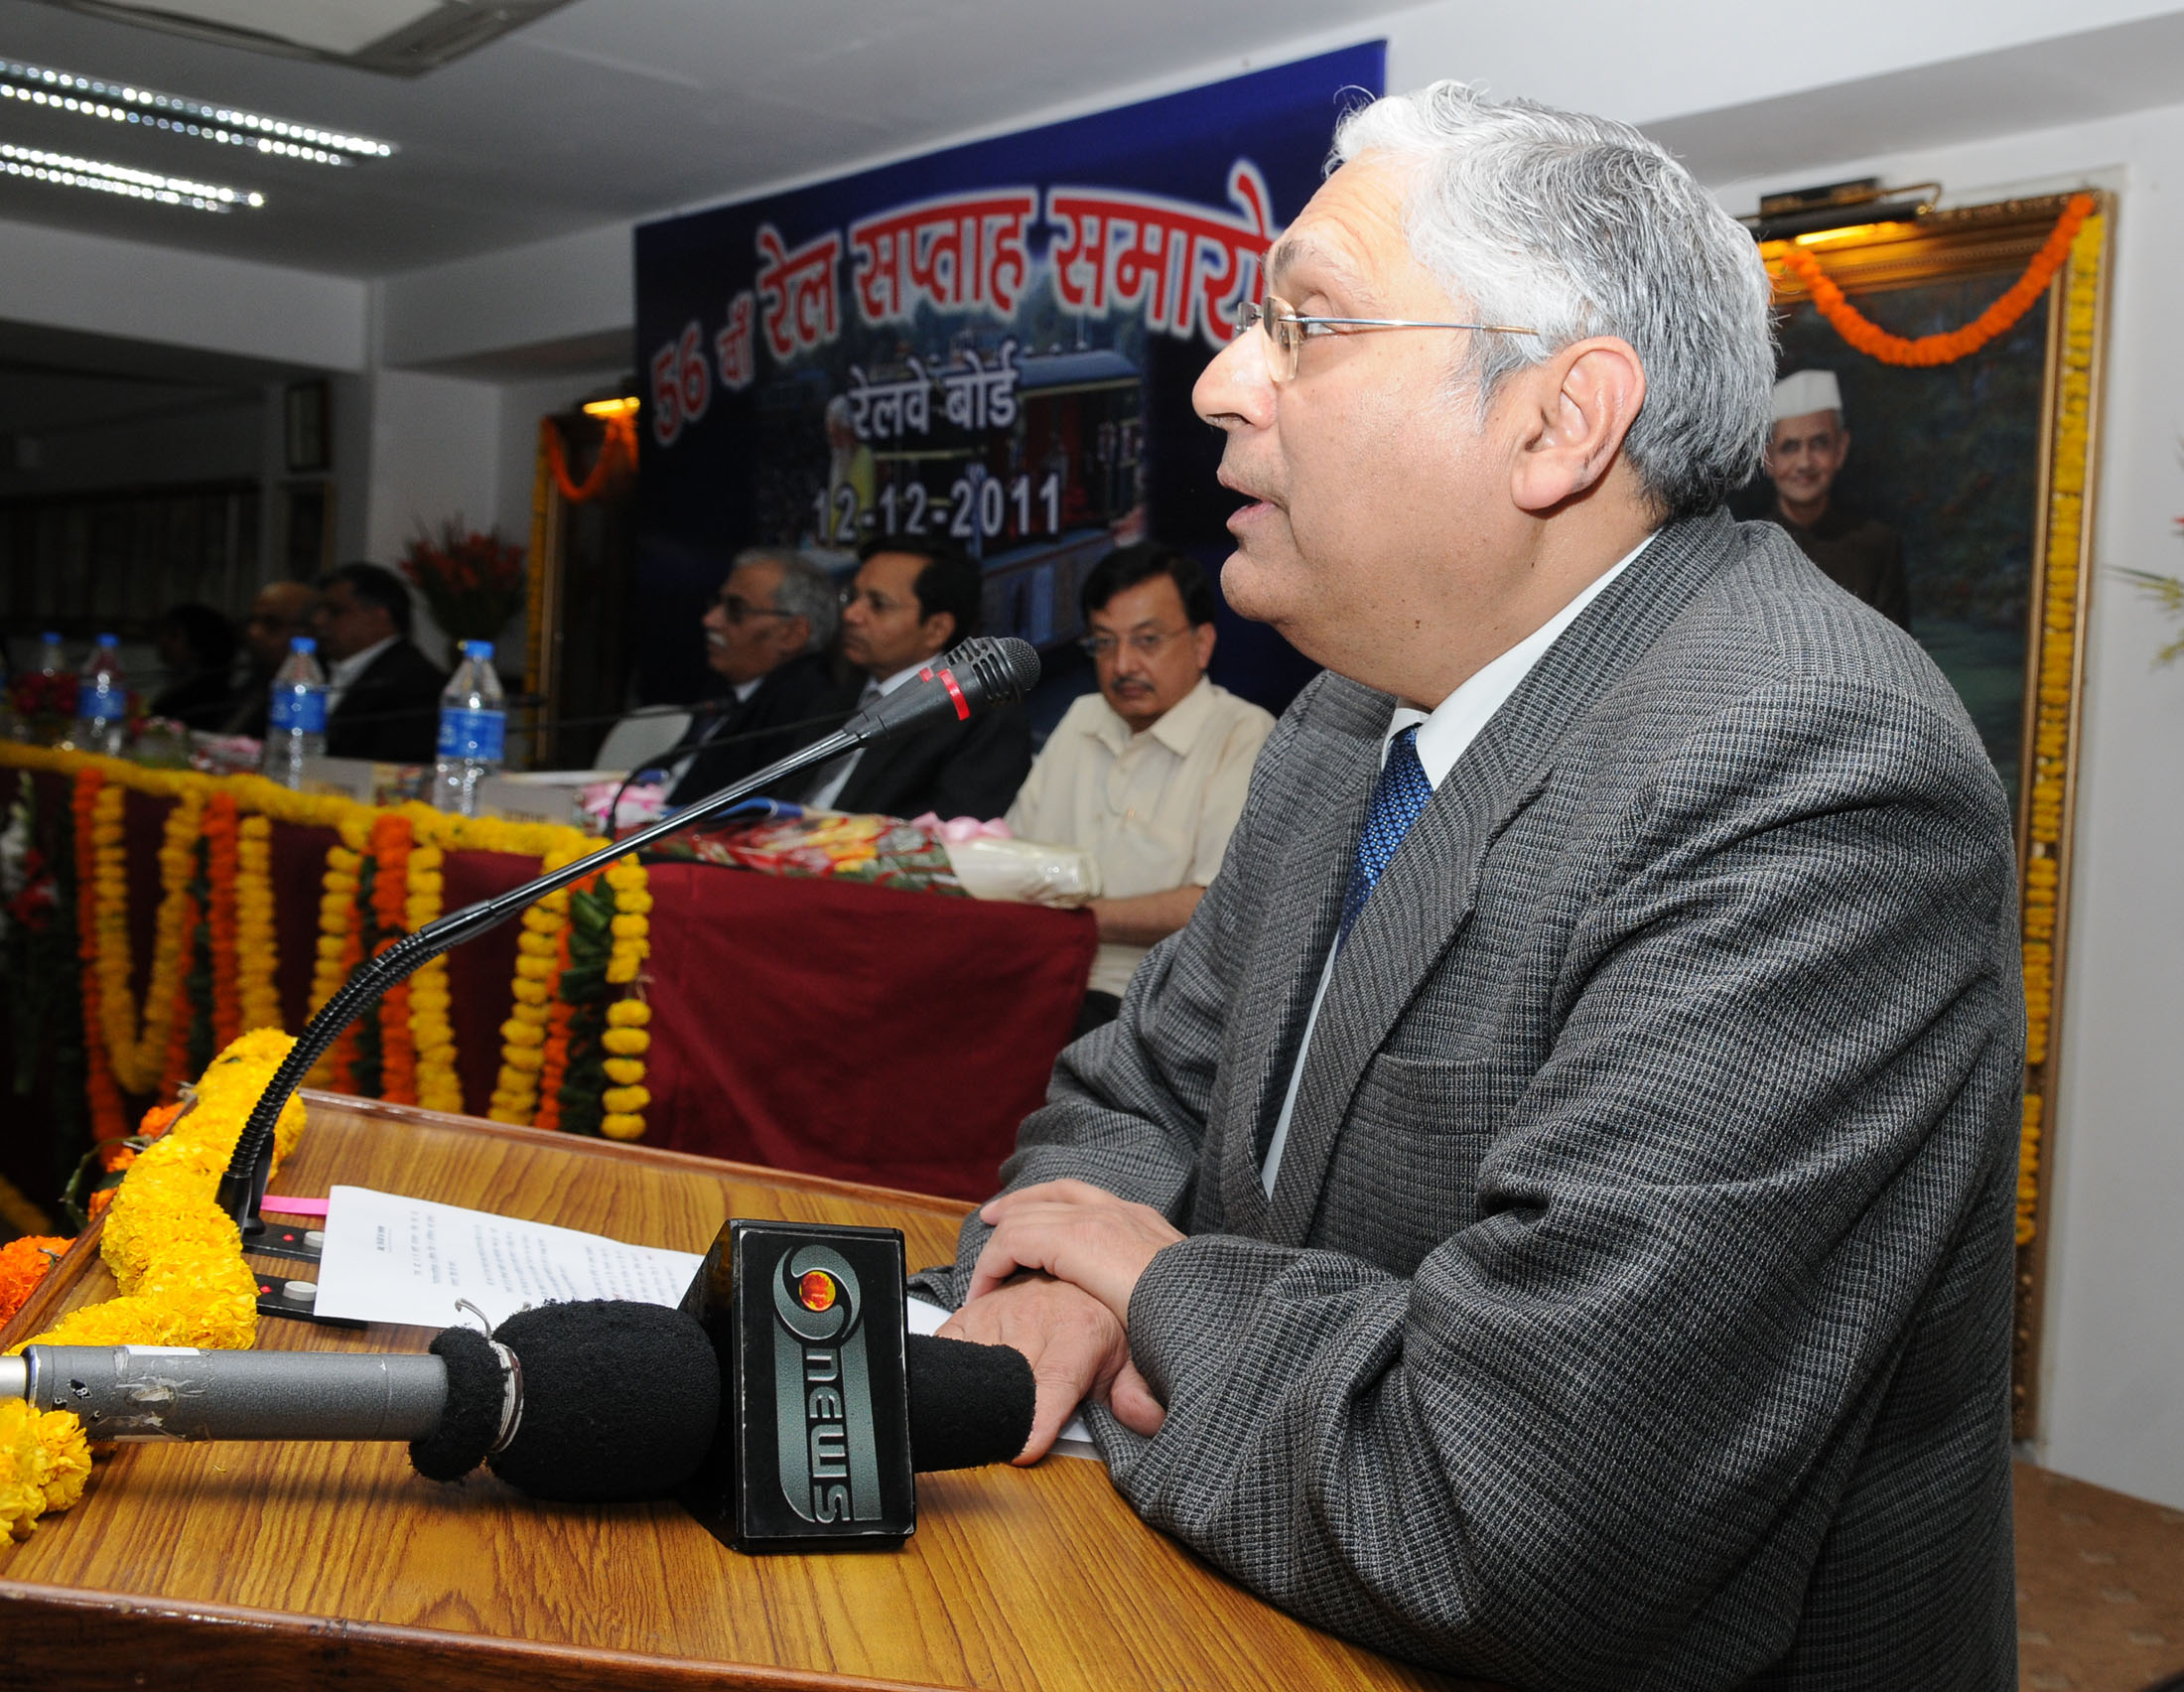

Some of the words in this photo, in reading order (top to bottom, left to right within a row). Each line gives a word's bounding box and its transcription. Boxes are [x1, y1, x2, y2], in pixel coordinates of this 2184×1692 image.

[643, 312, 720, 457] 56
[711, 291, 764, 395] में
[749, 215, 847, 369] रेल
[843, 352, 938, 445] रेलवे
[848, 188, 1038, 331] सप्ताह
[942, 339, 1024, 440] बोर्ड
[1048, 162, 1287, 352] समारो
[810, 468, 1069, 548] 12-12-2011
[791, 1342, 857, 1529] news